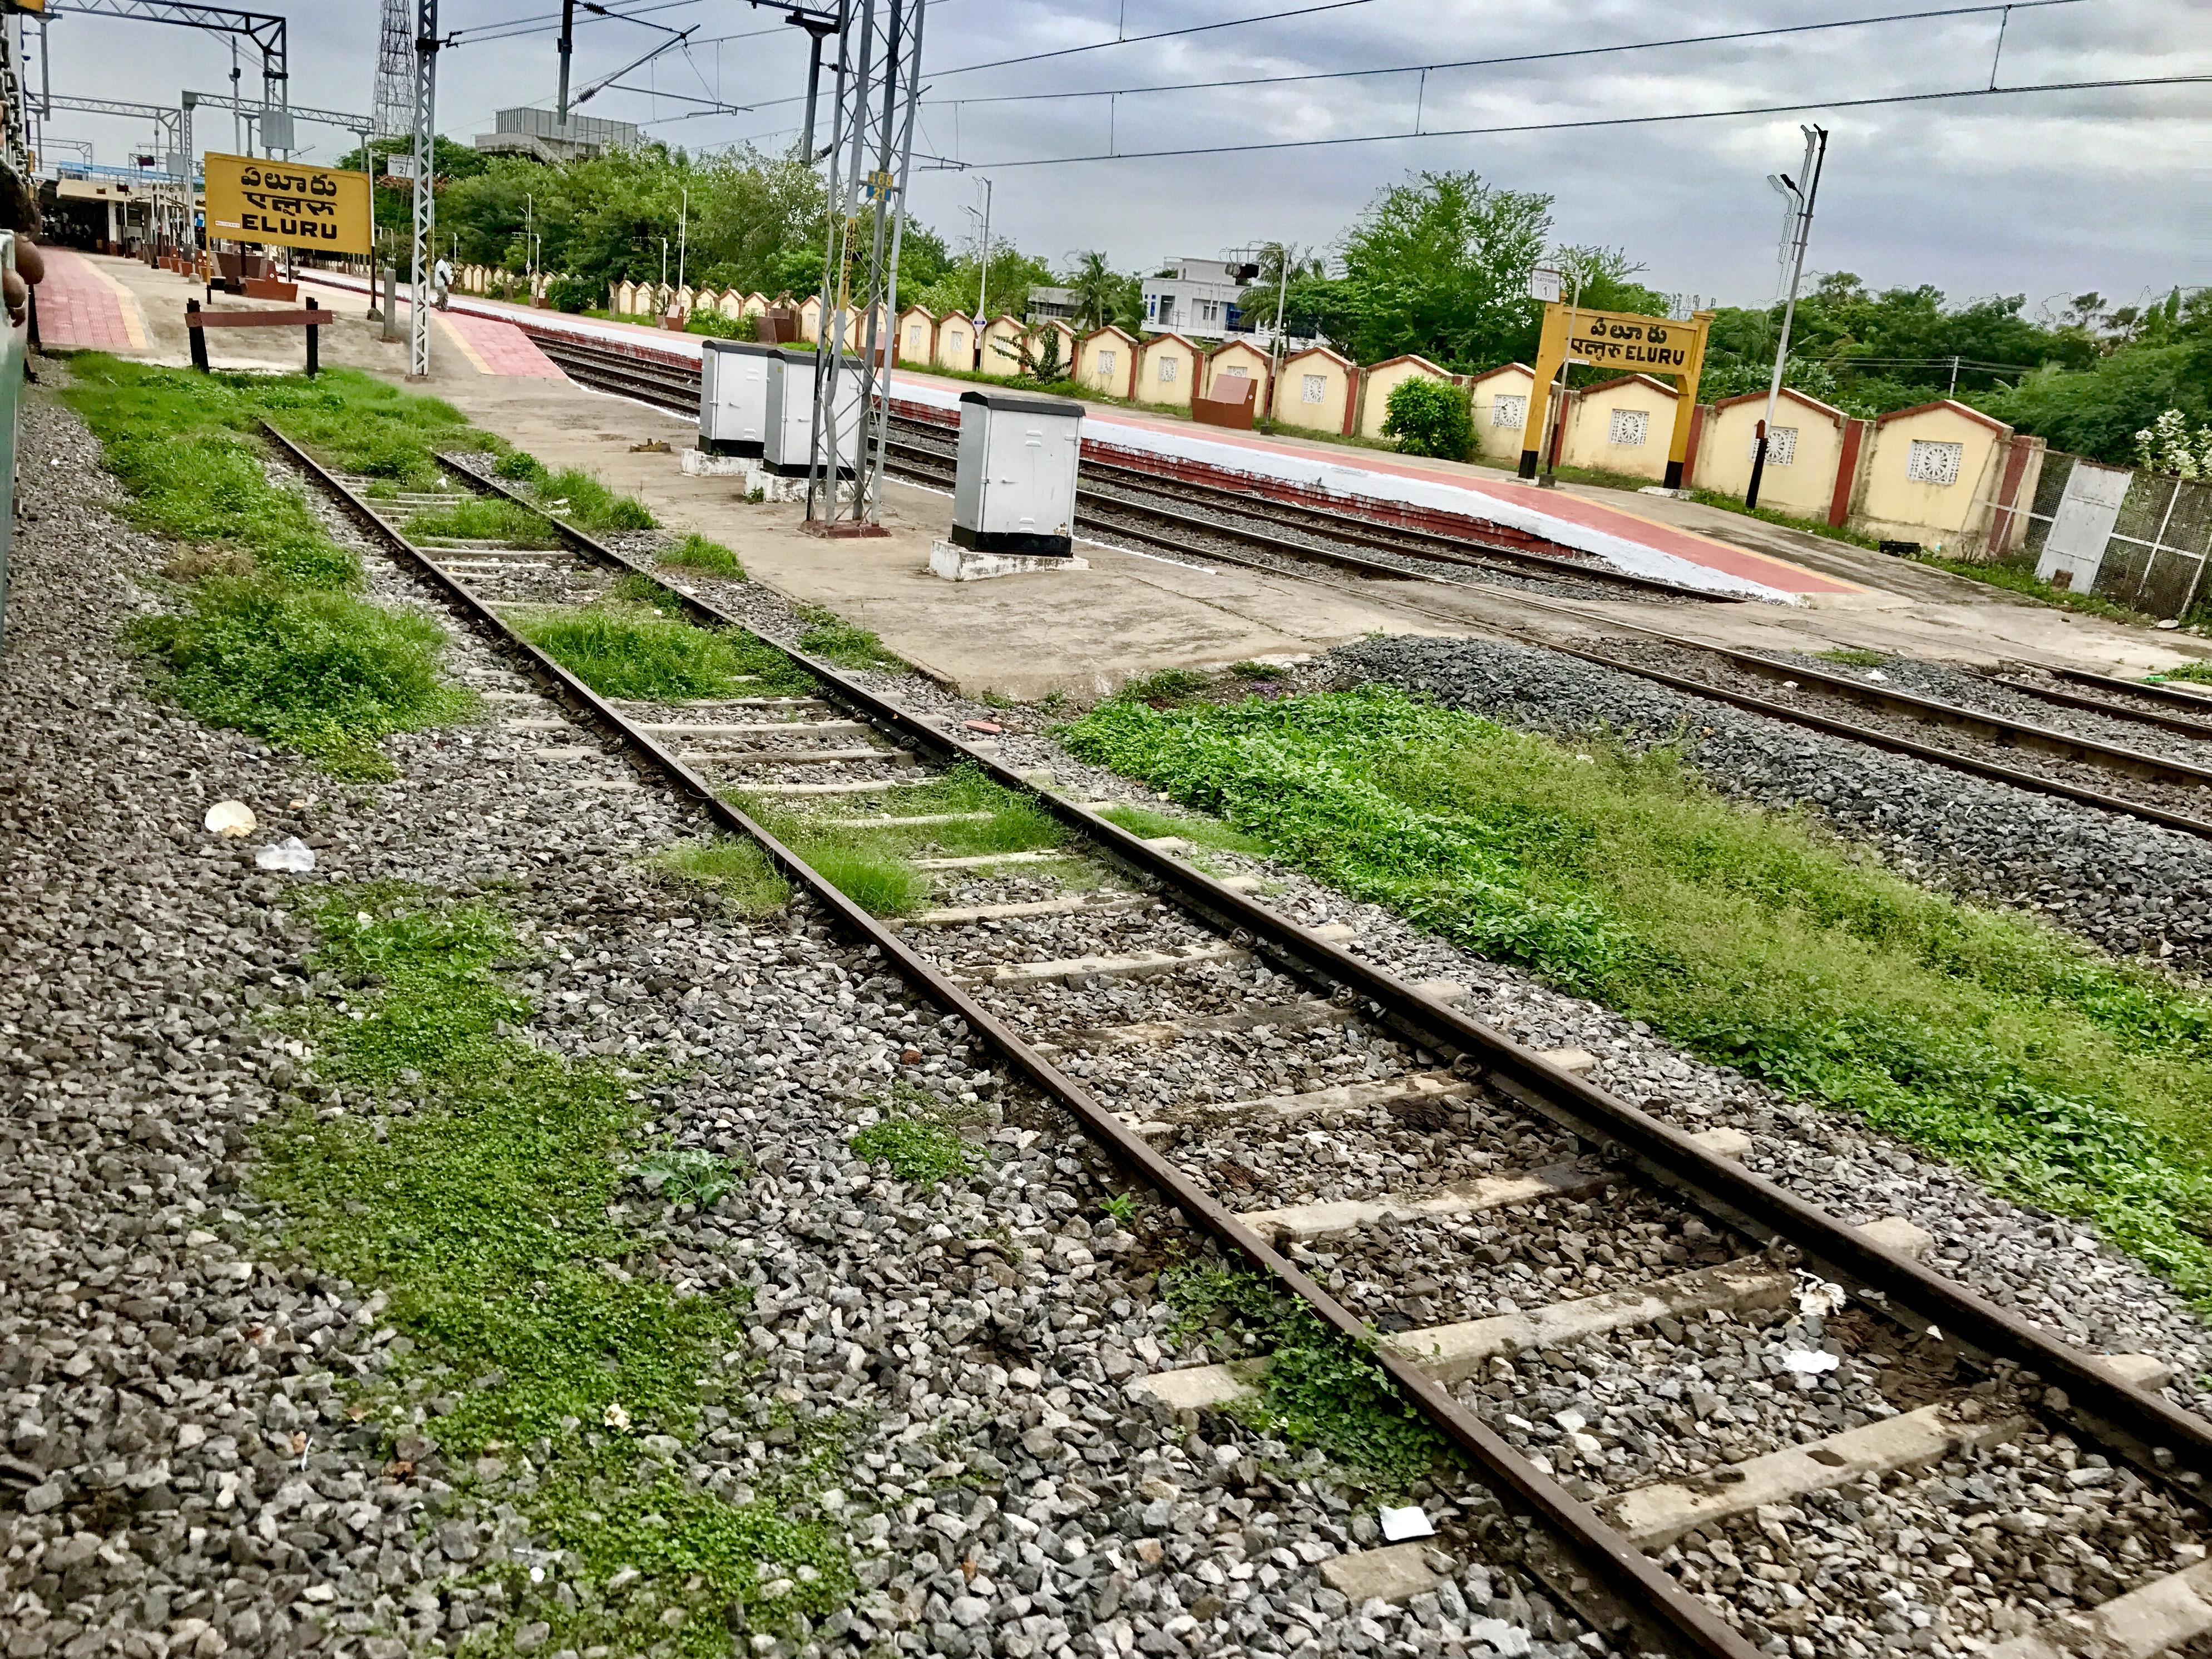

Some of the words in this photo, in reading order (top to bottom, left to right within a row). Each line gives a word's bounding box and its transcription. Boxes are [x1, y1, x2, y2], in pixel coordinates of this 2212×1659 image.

[233, 161, 340, 201] ఏలూరు
[239, 186, 338, 219] एलूरू
[240, 210, 340, 243] ELURU
[1532, 274, 1559, 285] PLATFORM
[1587, 312, 1671, 346] పలూరు
[1567, 332, 1626, 366] एलुरू
[1623, 342, 1688, 366] ELURU